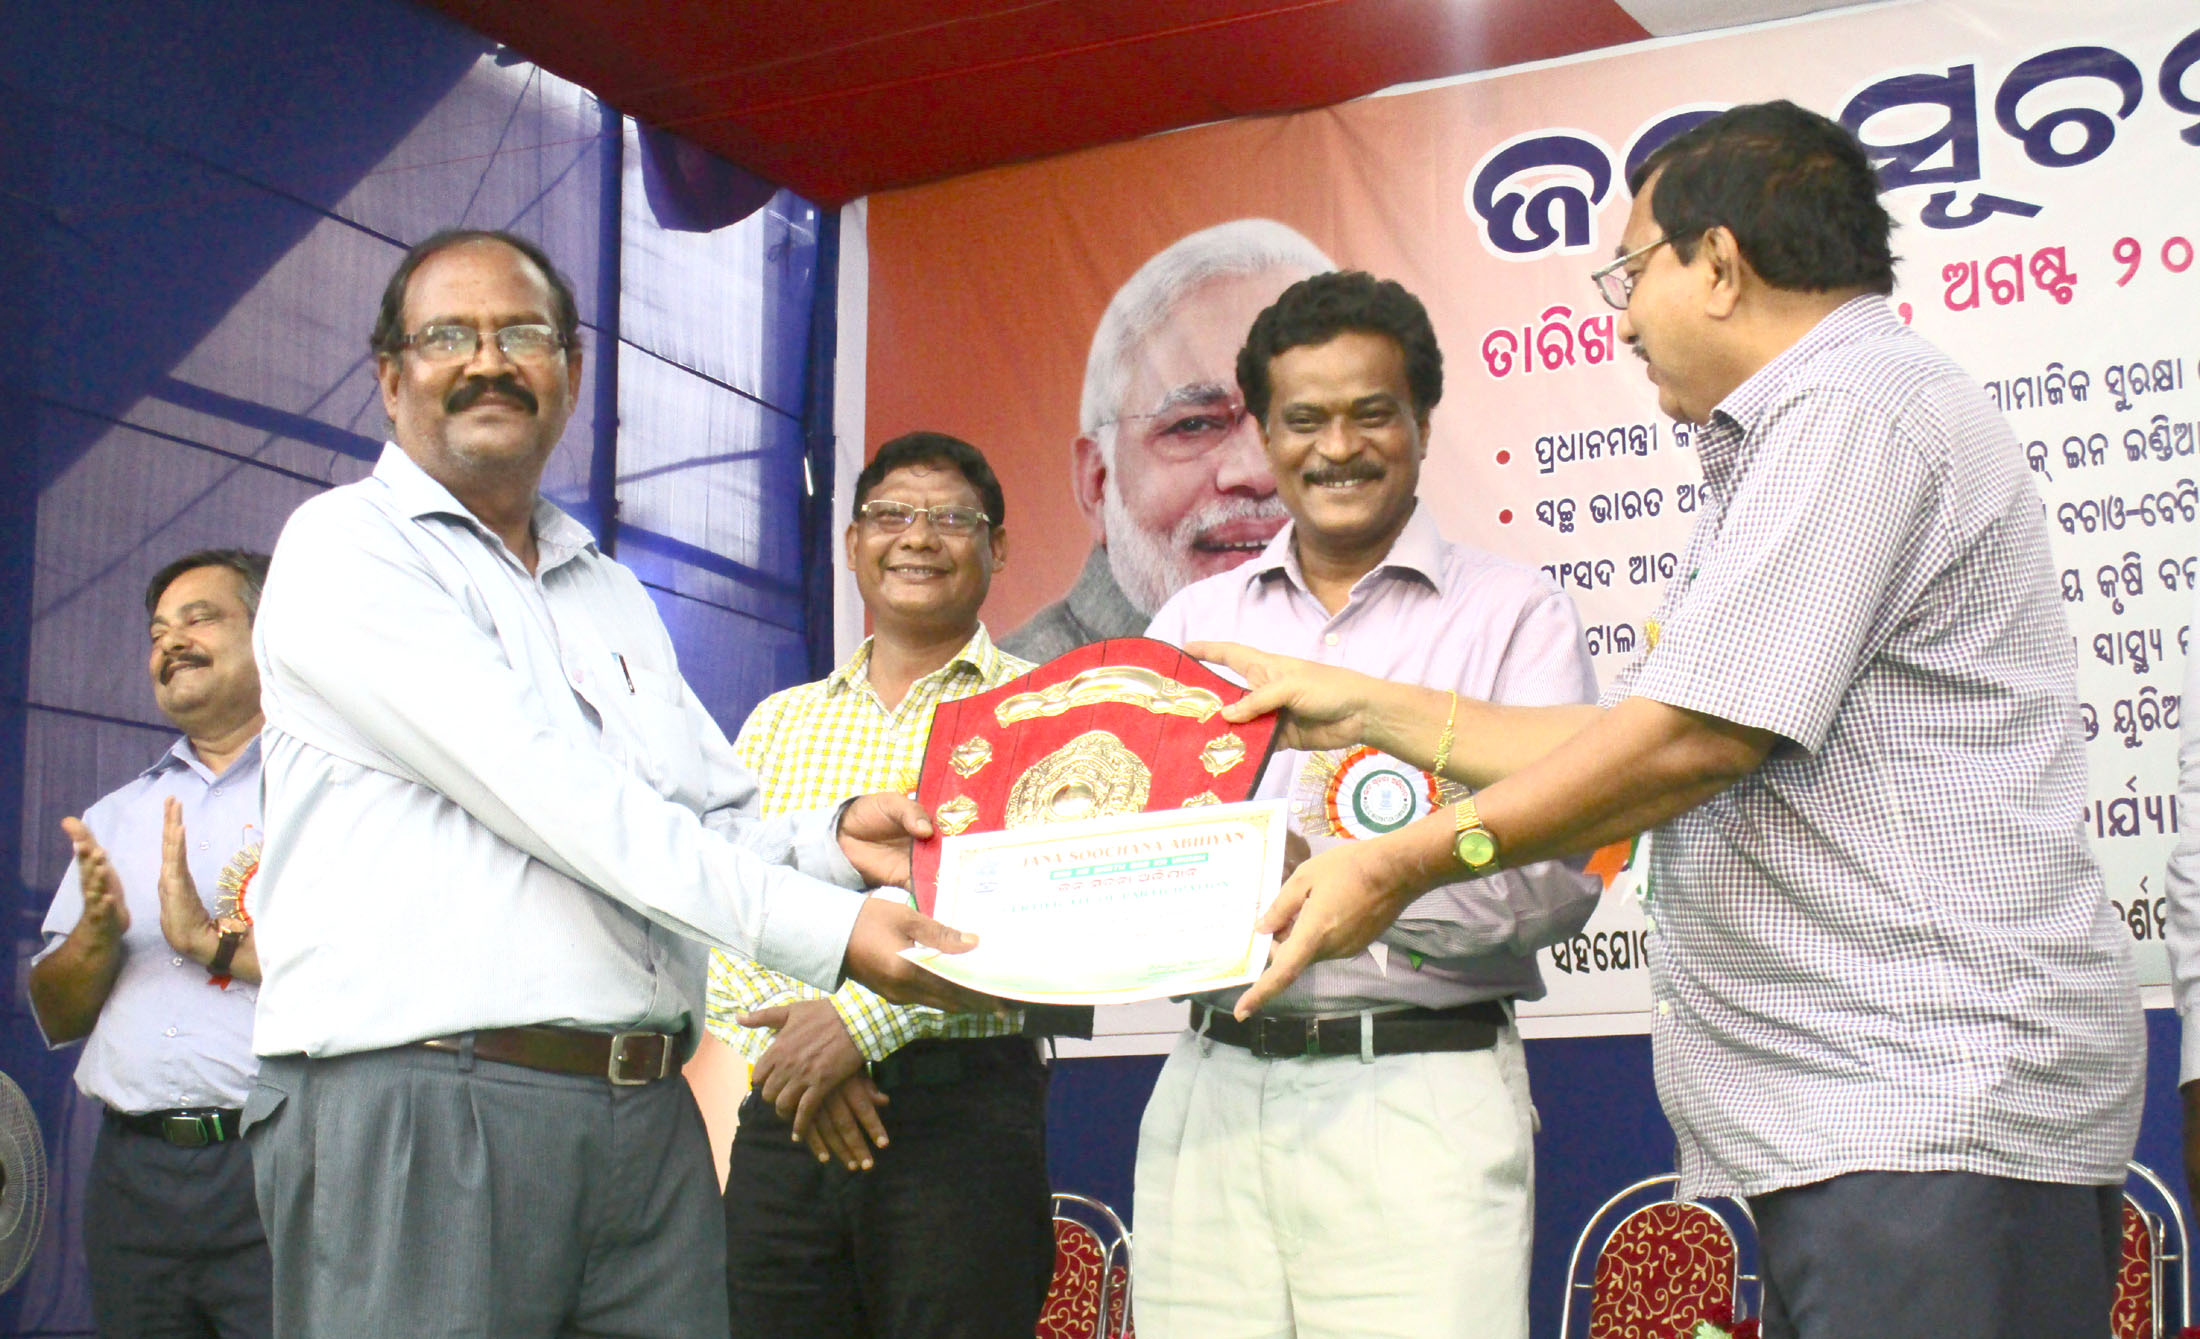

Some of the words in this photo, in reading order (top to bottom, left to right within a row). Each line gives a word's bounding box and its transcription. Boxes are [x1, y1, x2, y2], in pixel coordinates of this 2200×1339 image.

[1931, 236, 2083, 324] ଅଗଷ୍ଟ
[1475, 302, 1621, 388] ତାରିଖ
[1978, 351, 2097, 419] ମାମାଜିକ
[2104, 349, 2189, 406] ସୁରକ୍ଷା
[1524, 413, 1665, 483] ପ୍ରଧାନମନ୍ତ୍ରୀ
[2019, 435, 2055, 484] କ୍
[2061, 428, 2111, 473] ଇନ
[2117, 406, 2200, 468] ଇଣ୍ଡିଅ
[1524, 493, 1583, 539] ସଚ୍ଛ
[1583, 482, 1663, 529] ଭାରତ
[2052, 488, 2129, 542] ବଚାଓ
[2129, 469, 2200, 535] ବେଟି
[1534, 554, 1622, 598] ସଦ
[1621, 548, 1679, 588] ଆଦ
[2053, 562, 2086, 609] ୟ
[2092, 543, 2151, 624] କୃଷି
[2091, 620, 2173, 675] ସାସ୍ଥ୍ଯ
[2108, 680, 2187, 751] ୟୁରିଅ
[1545, 924, 1652, 982] ସହଯୋ